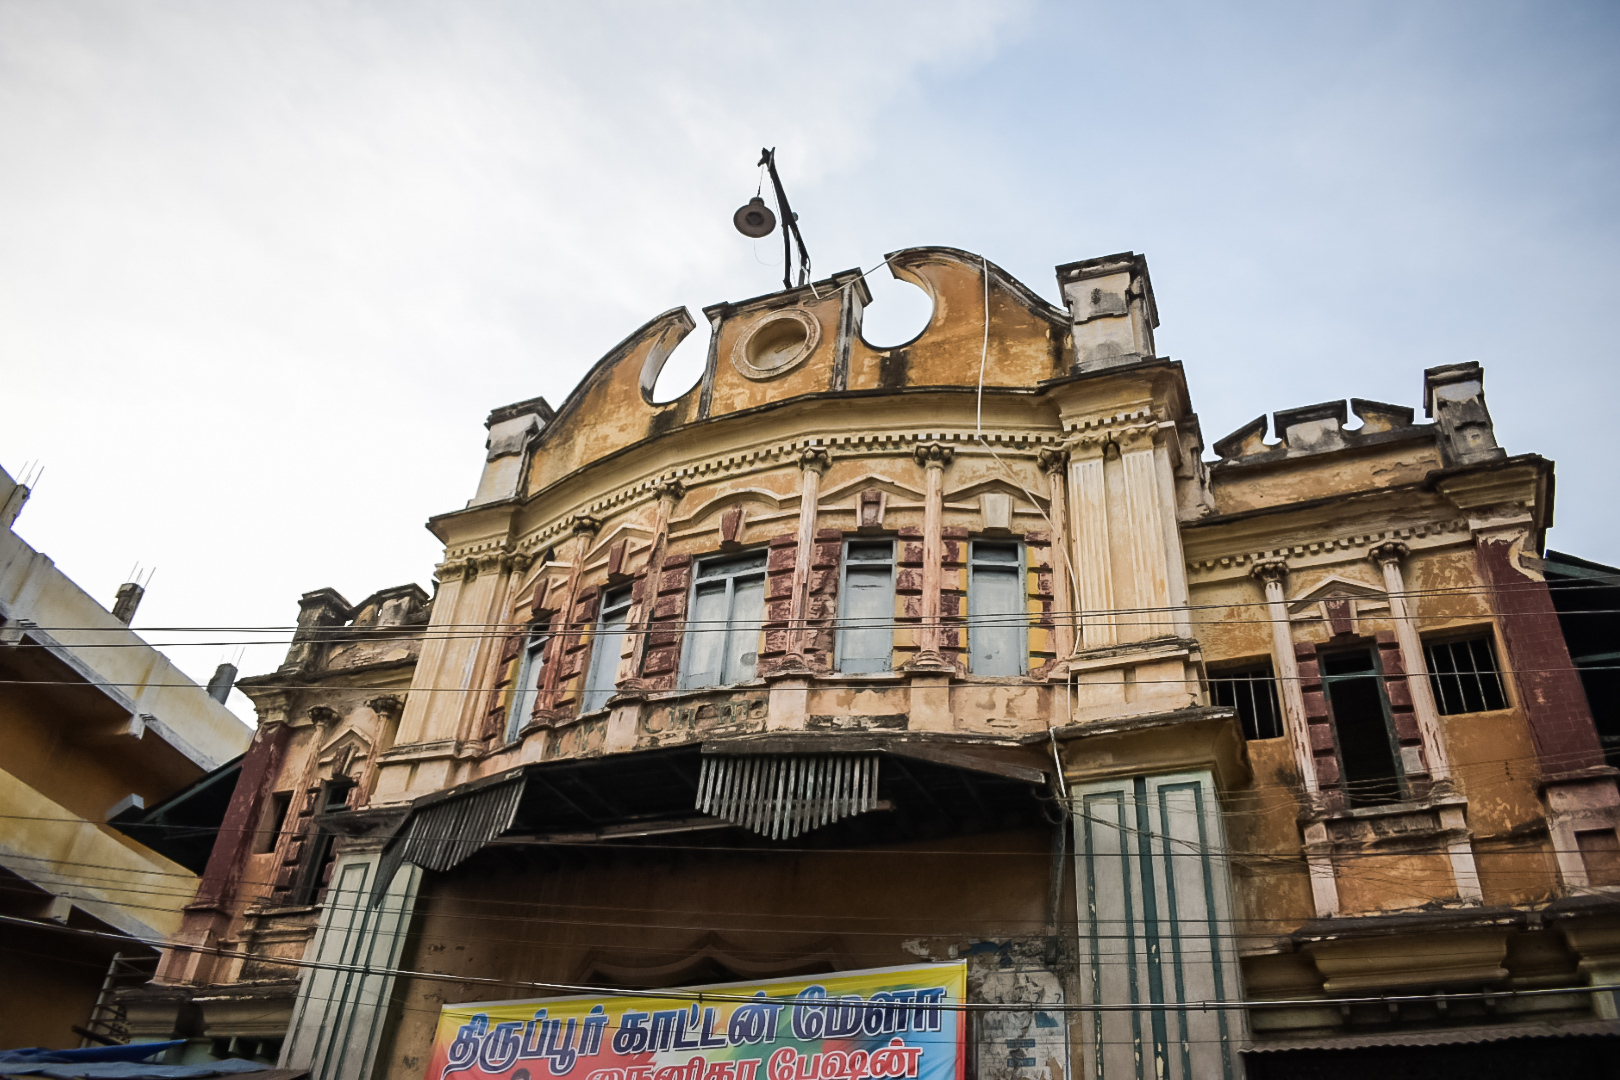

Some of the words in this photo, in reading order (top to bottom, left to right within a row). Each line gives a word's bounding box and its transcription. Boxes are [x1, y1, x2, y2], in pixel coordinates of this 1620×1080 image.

[437, 999, 615, 1079] தஞப்பூா்
[609, 983, 790, 1058] காட்டன்
[763, 1033, 928, 1079] பேஷன்
[788, 977, 949, 1048] மேளா